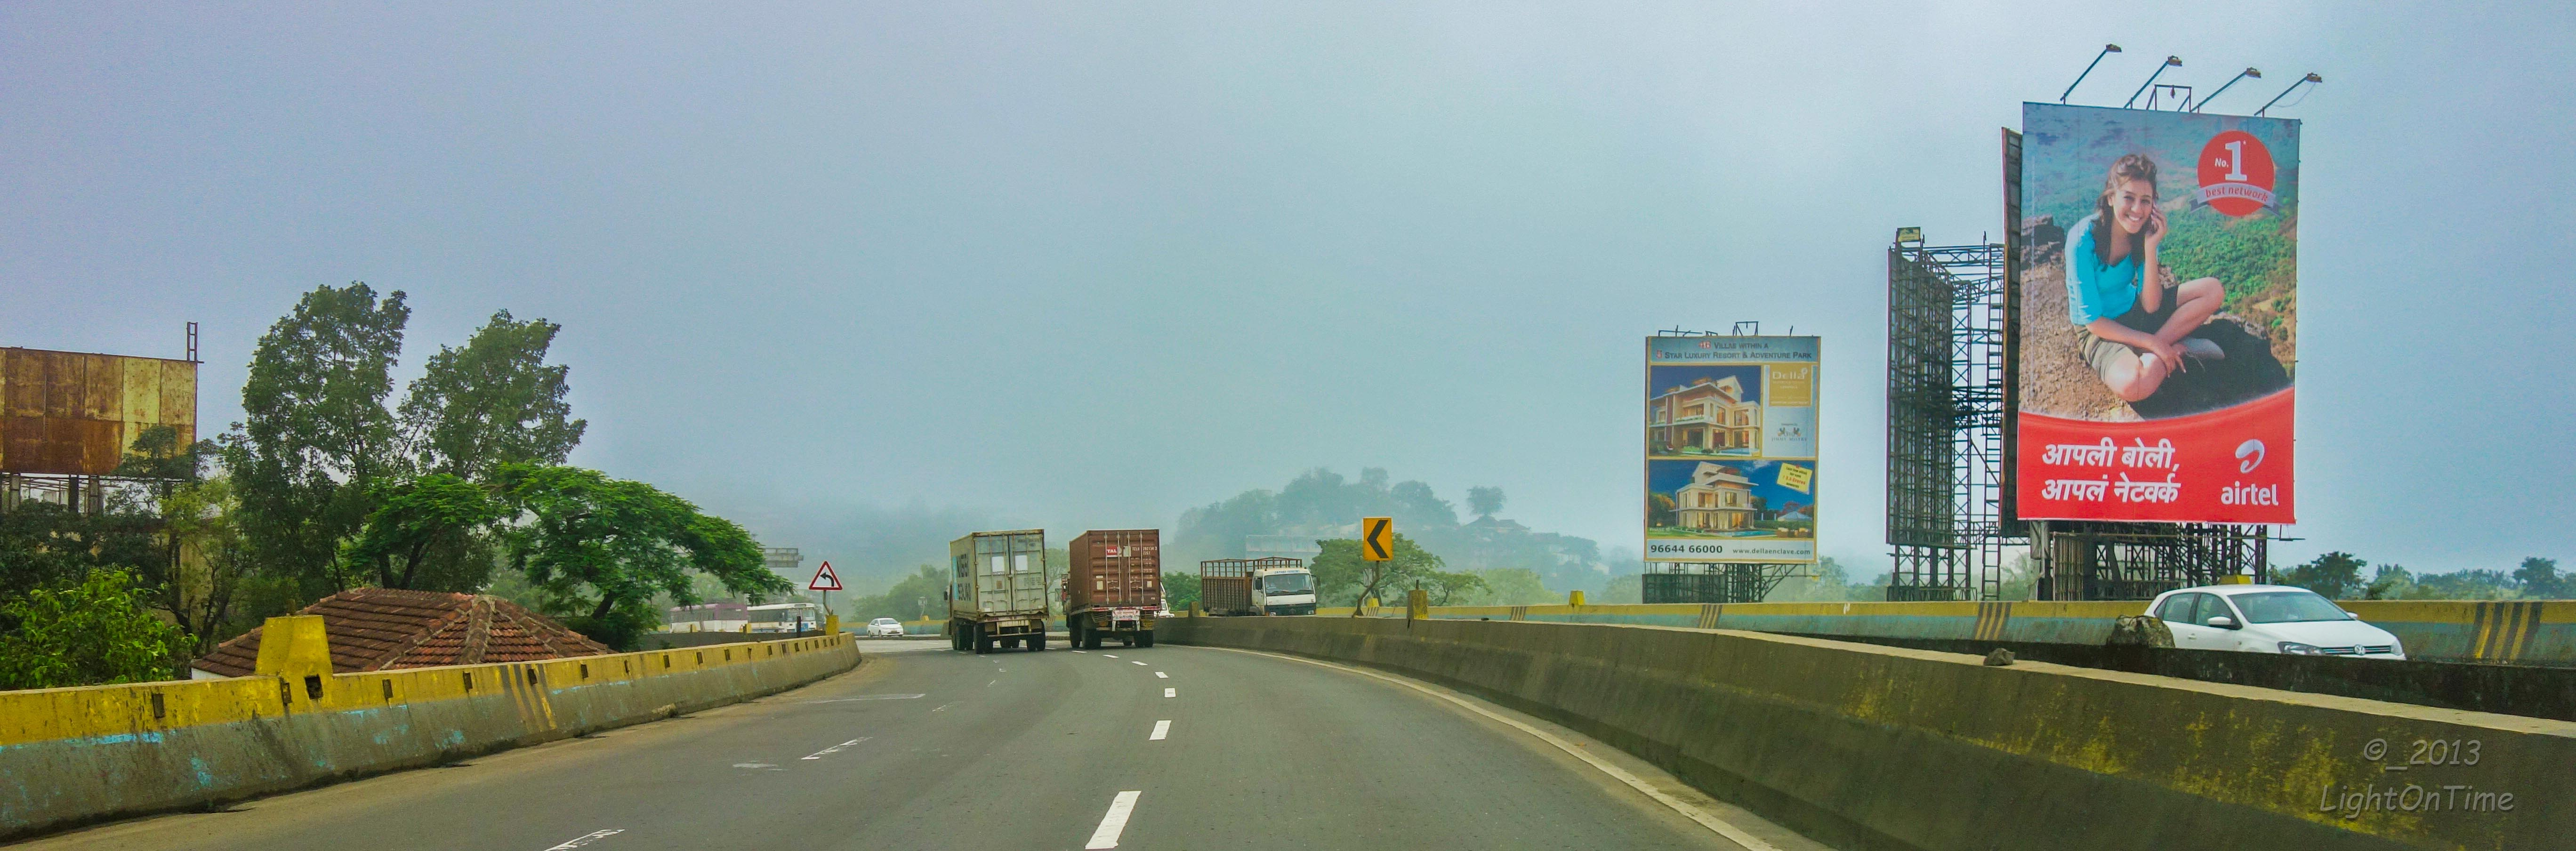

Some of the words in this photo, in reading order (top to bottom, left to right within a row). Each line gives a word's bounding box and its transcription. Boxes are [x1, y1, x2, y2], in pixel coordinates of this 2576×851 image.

[2211, 133, 2252, 185] No.1
[2201, 183, 2228, 200] best
[2224, 183, 2273, 204] network
[1659, 349, 1684, 364] STAR
[1681, 348, 1715, 362] LUXURY
[1709, 347, 1742, 362] RESORT
[1712, 336, 1740, 352] VILLAS
[1736, 336, 1772, 353] WITHINA
[1747, 347, 1795, 361] ADVENTURE
[1791, 347, 1813, 361] PARK
[2041, 433, 2121, 468] आपली
[2116, 433, 2177, 475] बोली
[2040, 471, 2114, 503] आपलं
[2109, 469, 2183, 510] नेटवर्क
[2214, 479, 2283, 514] airtel
[1730, 545, 1811, 557] www.dellaenclave.com
[2359, 732, 2485, 773] ©_2013
[2319, 782, 2442, 823] LightOn
[2441, 780, 2518, 814] Time